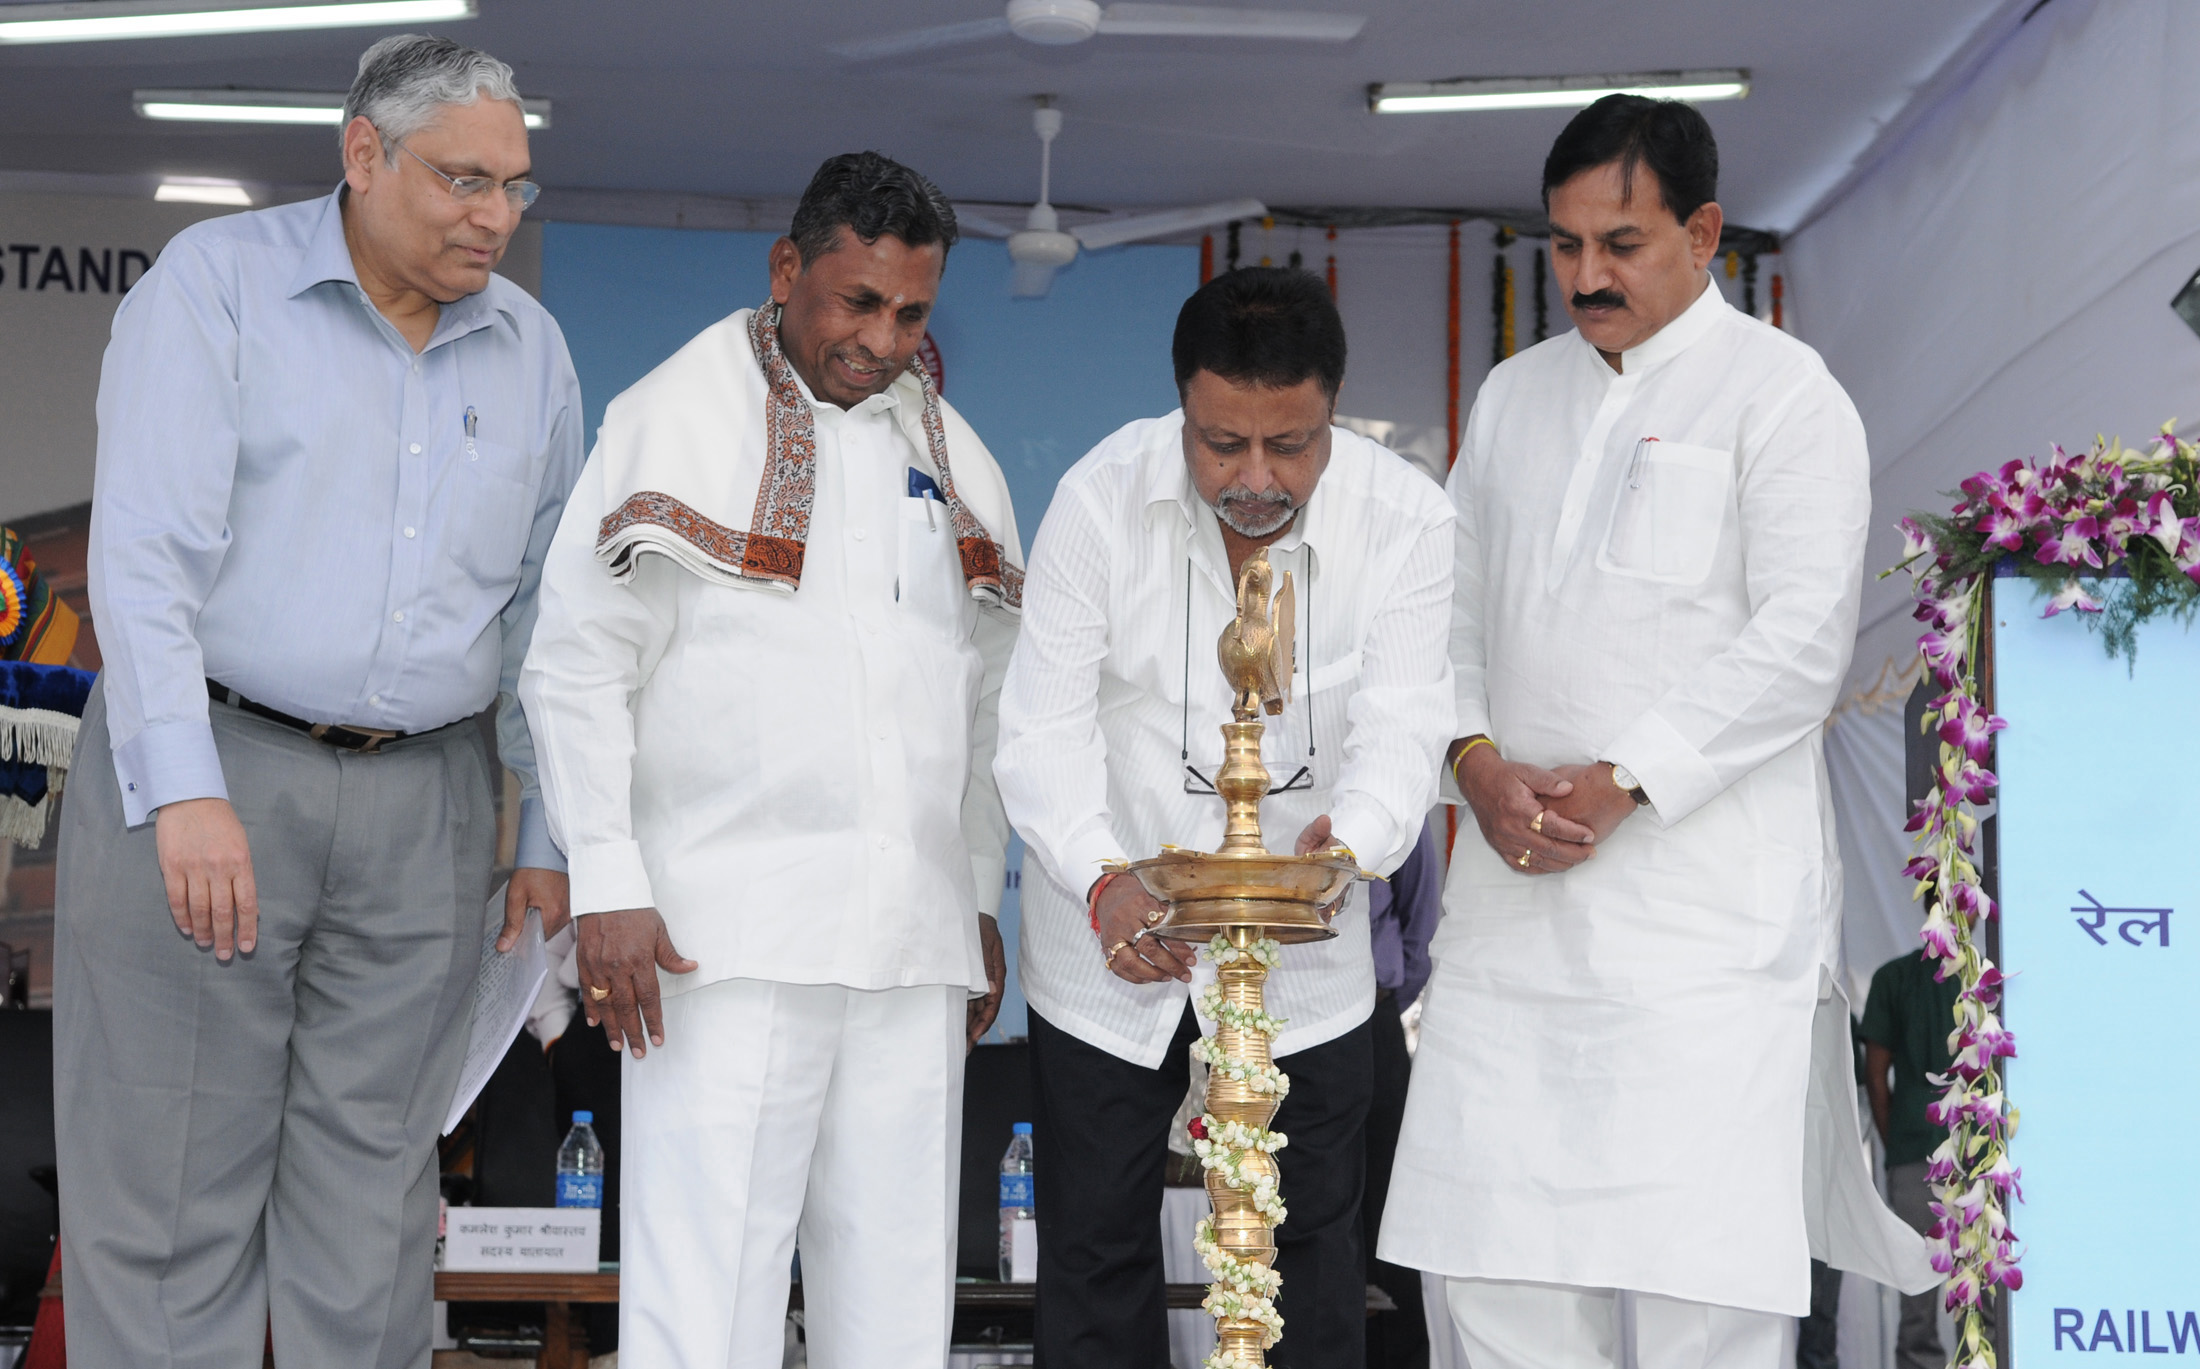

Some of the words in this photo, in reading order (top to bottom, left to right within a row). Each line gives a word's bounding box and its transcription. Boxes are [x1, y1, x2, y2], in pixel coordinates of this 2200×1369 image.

[2066, 882, 2177, 952] रेल
[2053, 1304, 2199, 1358] RAILW